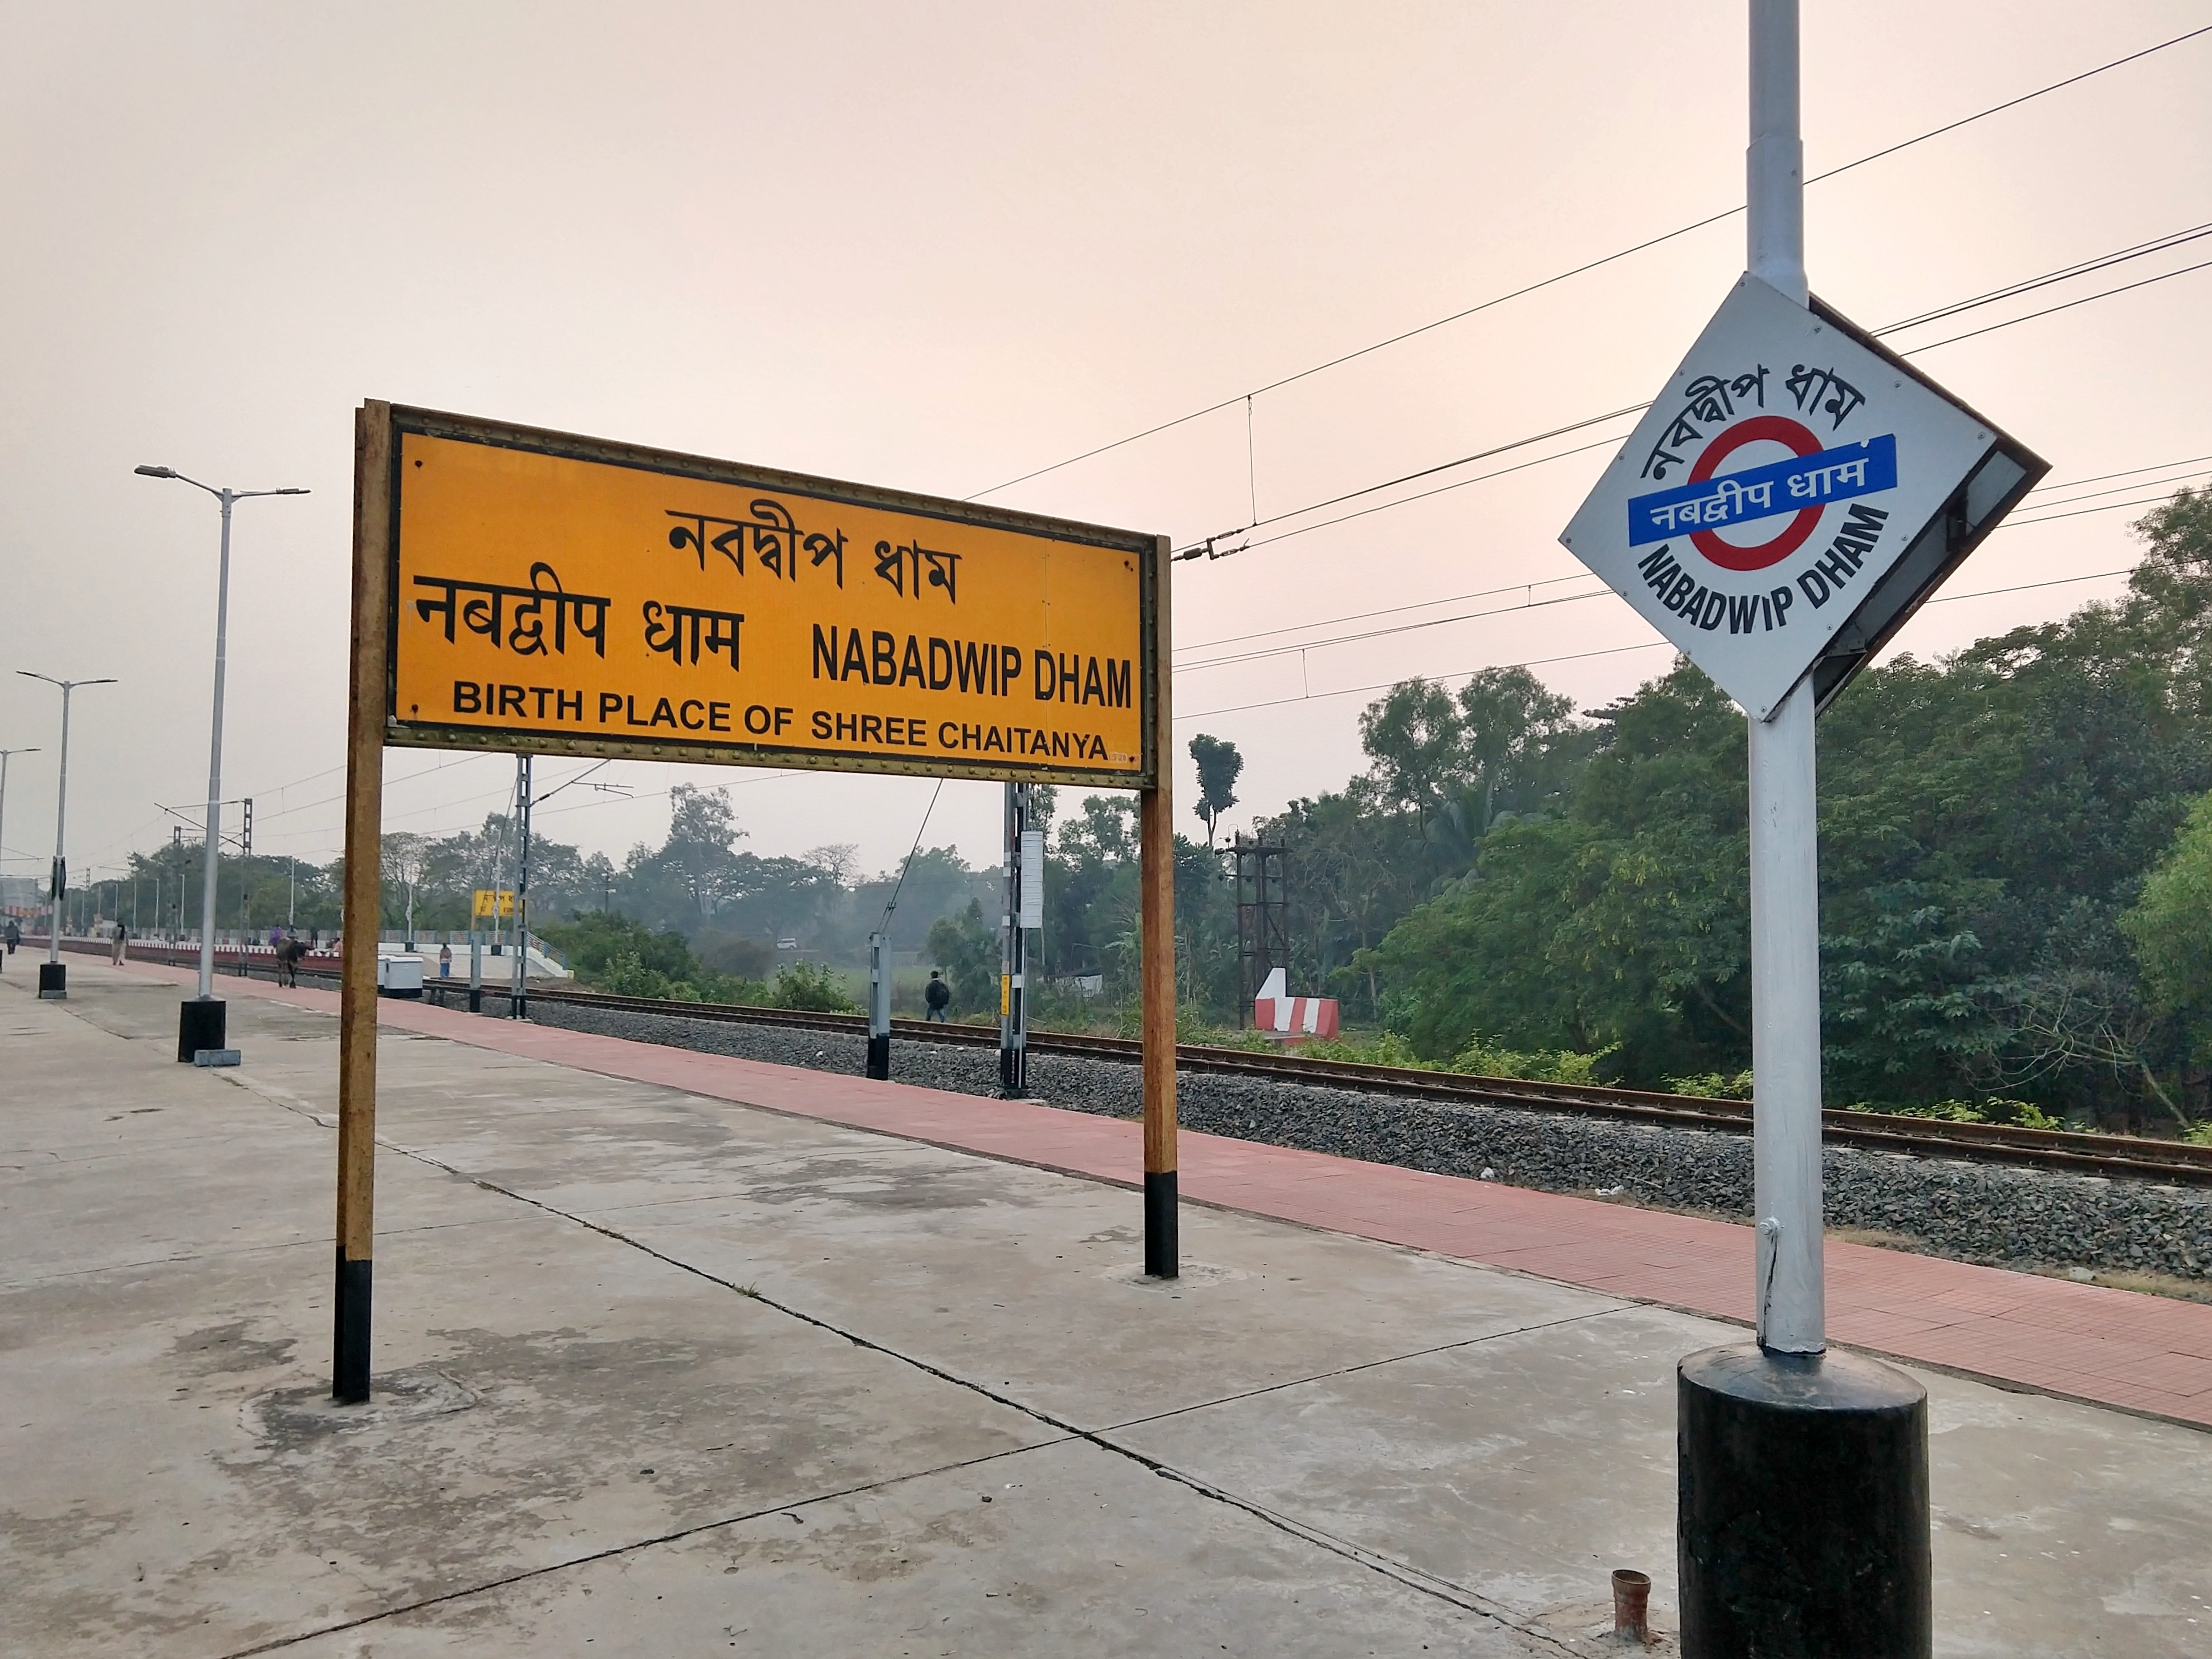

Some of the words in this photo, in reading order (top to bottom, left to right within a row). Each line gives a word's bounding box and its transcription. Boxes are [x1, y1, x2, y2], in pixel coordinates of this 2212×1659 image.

[1638, 359, 1772, 483] নবদ্বীপ
[1777, 354, 1862, 428] ধাম
[1648, 473, 1775, 534] नबद्वीप
[1784, 454, 1872, 504] धाम
[410, 552, 617, 664] नबद्वीप
[449, 676, 589, 726] BIRTH
[594, 688, 738, 736] PLACE
[639, 596, 746, 678] धाम
[658, 492, 857, 594] নবদ্বীপ
[741, 699, 796, 744] OF
[808, 705, 933, 752] SHREE
[867, 534, 961, 609] ধাম
[808, 619, 1028, 697] NABADWIP
[936, 719, 1115, 766] CHAITANYA
[1026, 640, 1137, 717] DHAM
[1633, 540, 1797, 636] NABADWIP
[1791, 499, 1892, 612] DHAM